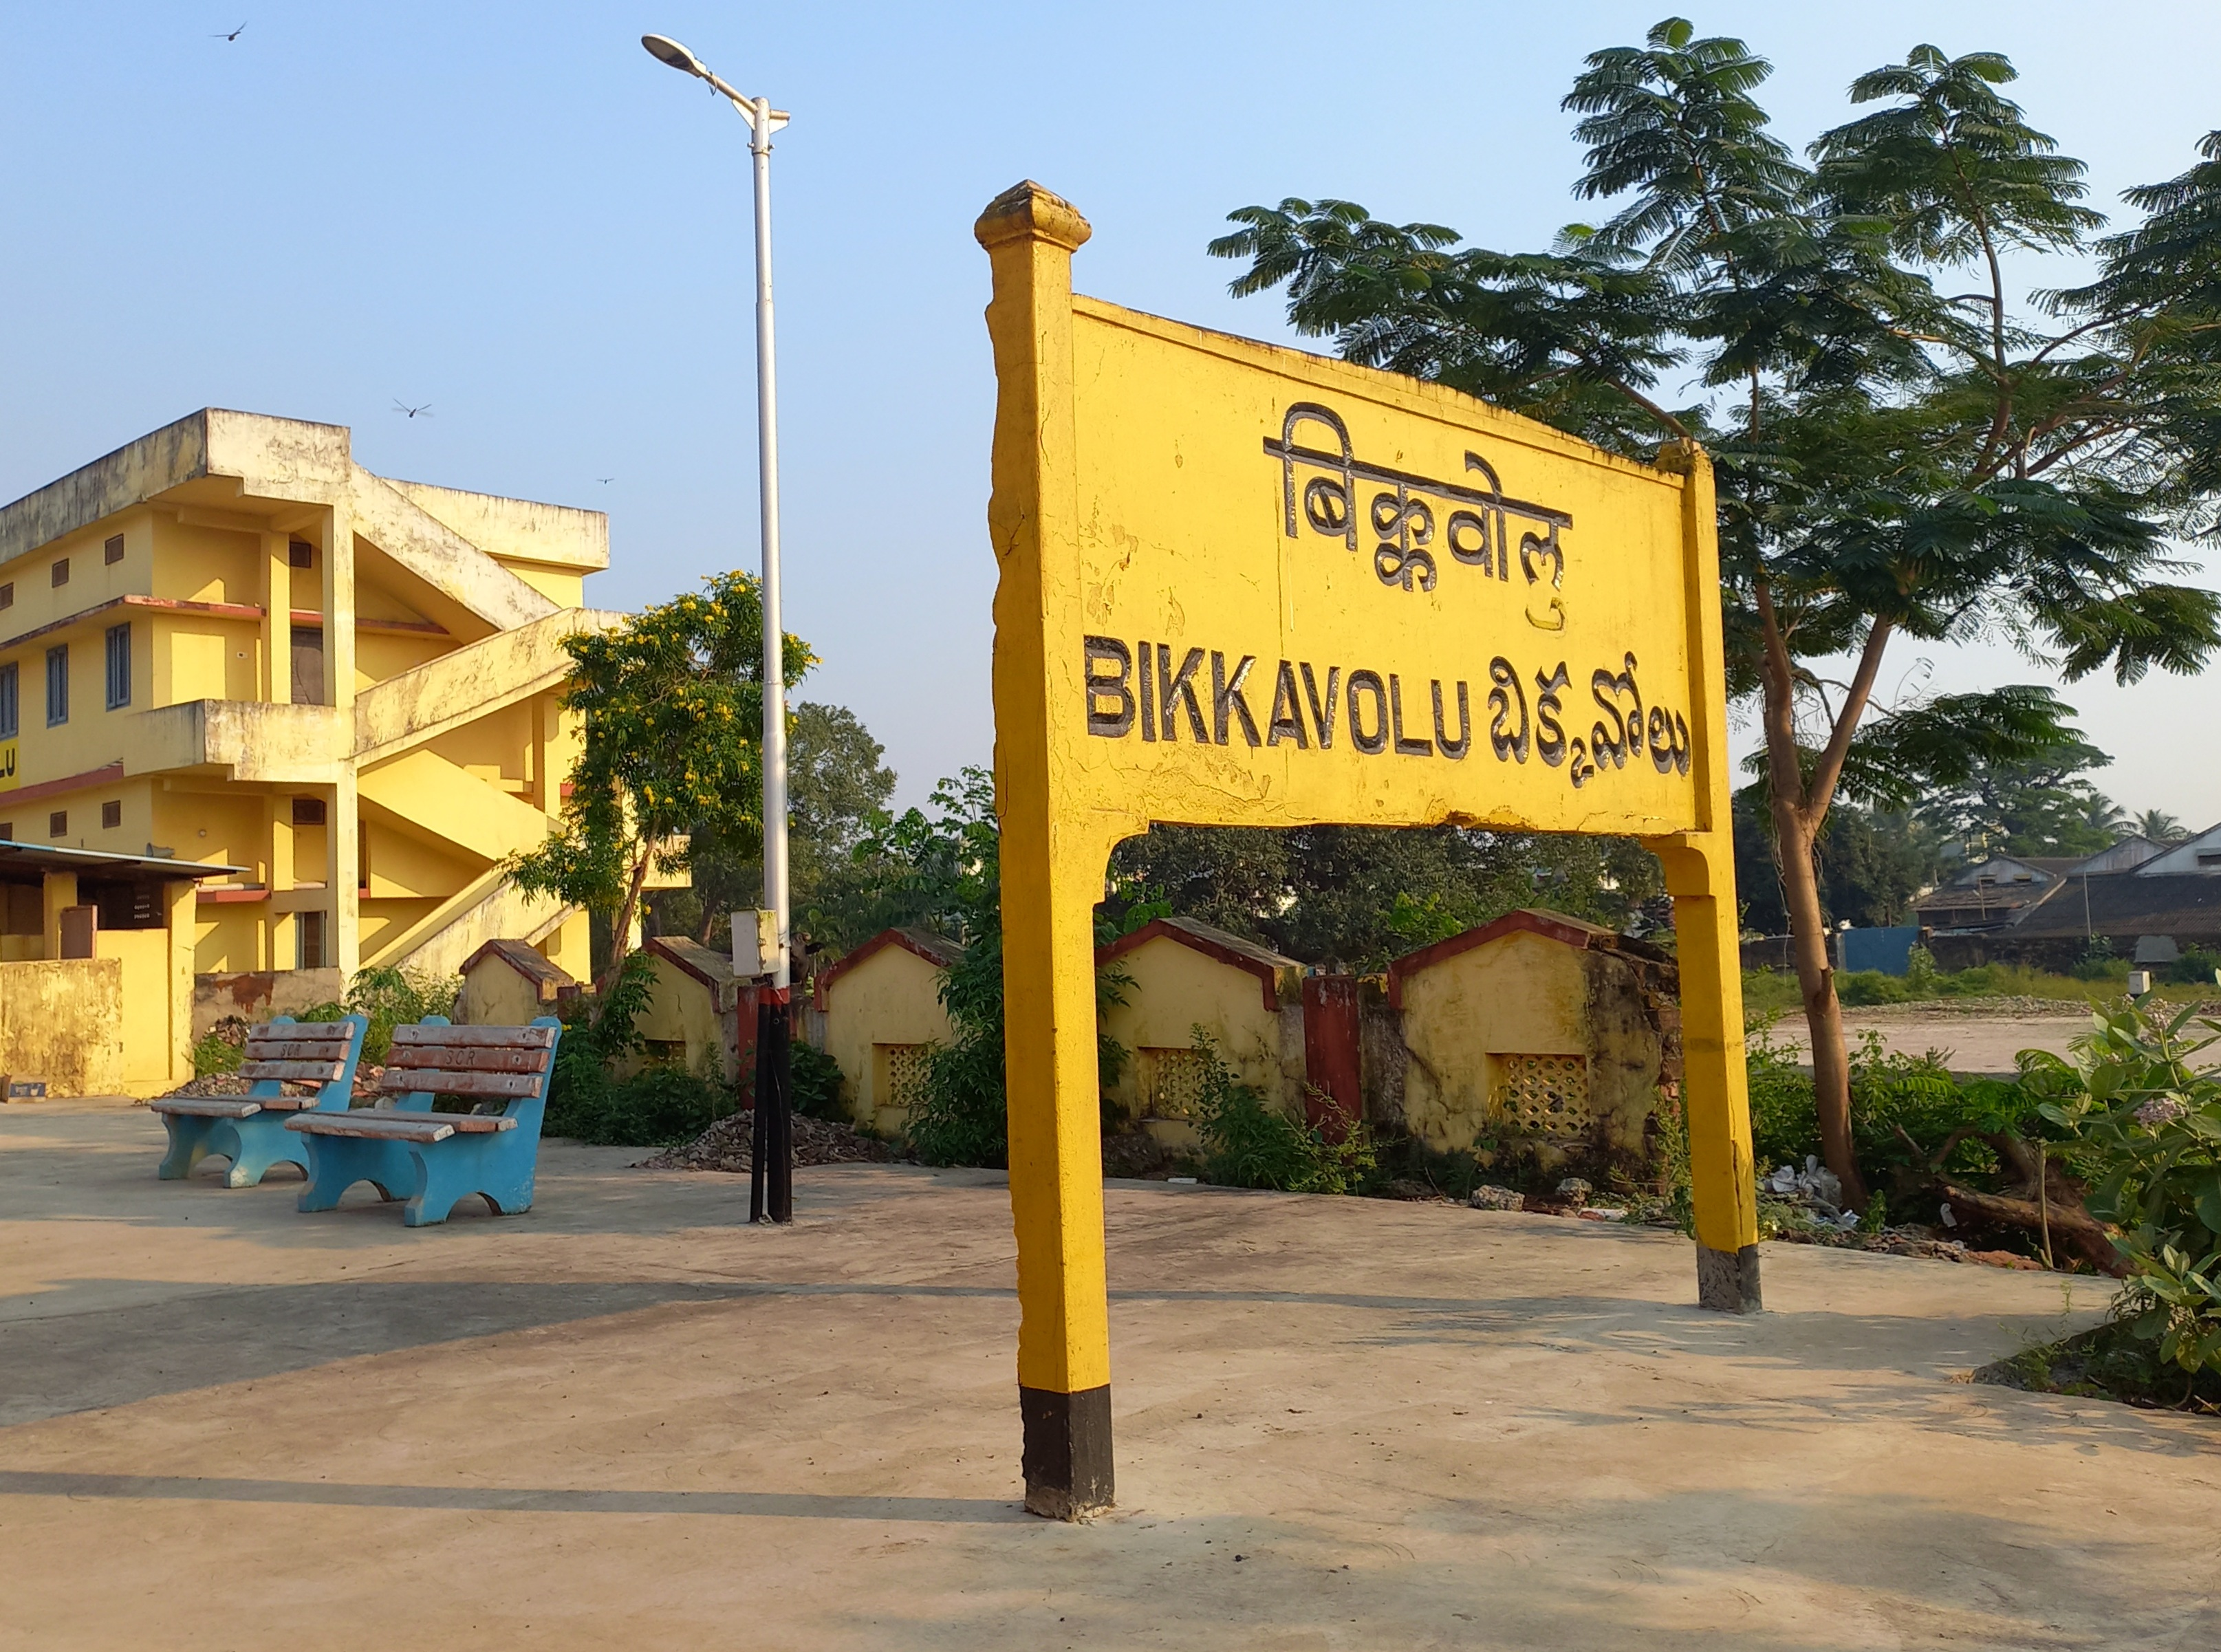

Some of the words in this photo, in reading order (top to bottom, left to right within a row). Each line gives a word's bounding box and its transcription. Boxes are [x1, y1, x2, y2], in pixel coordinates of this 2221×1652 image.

[1252, 391, 1579, 642] बिक्कवोलु
[1079, 629, 1476, 768] BIKKAVOLU
[1480, 646, 1702, 796] బిక్కవోలు